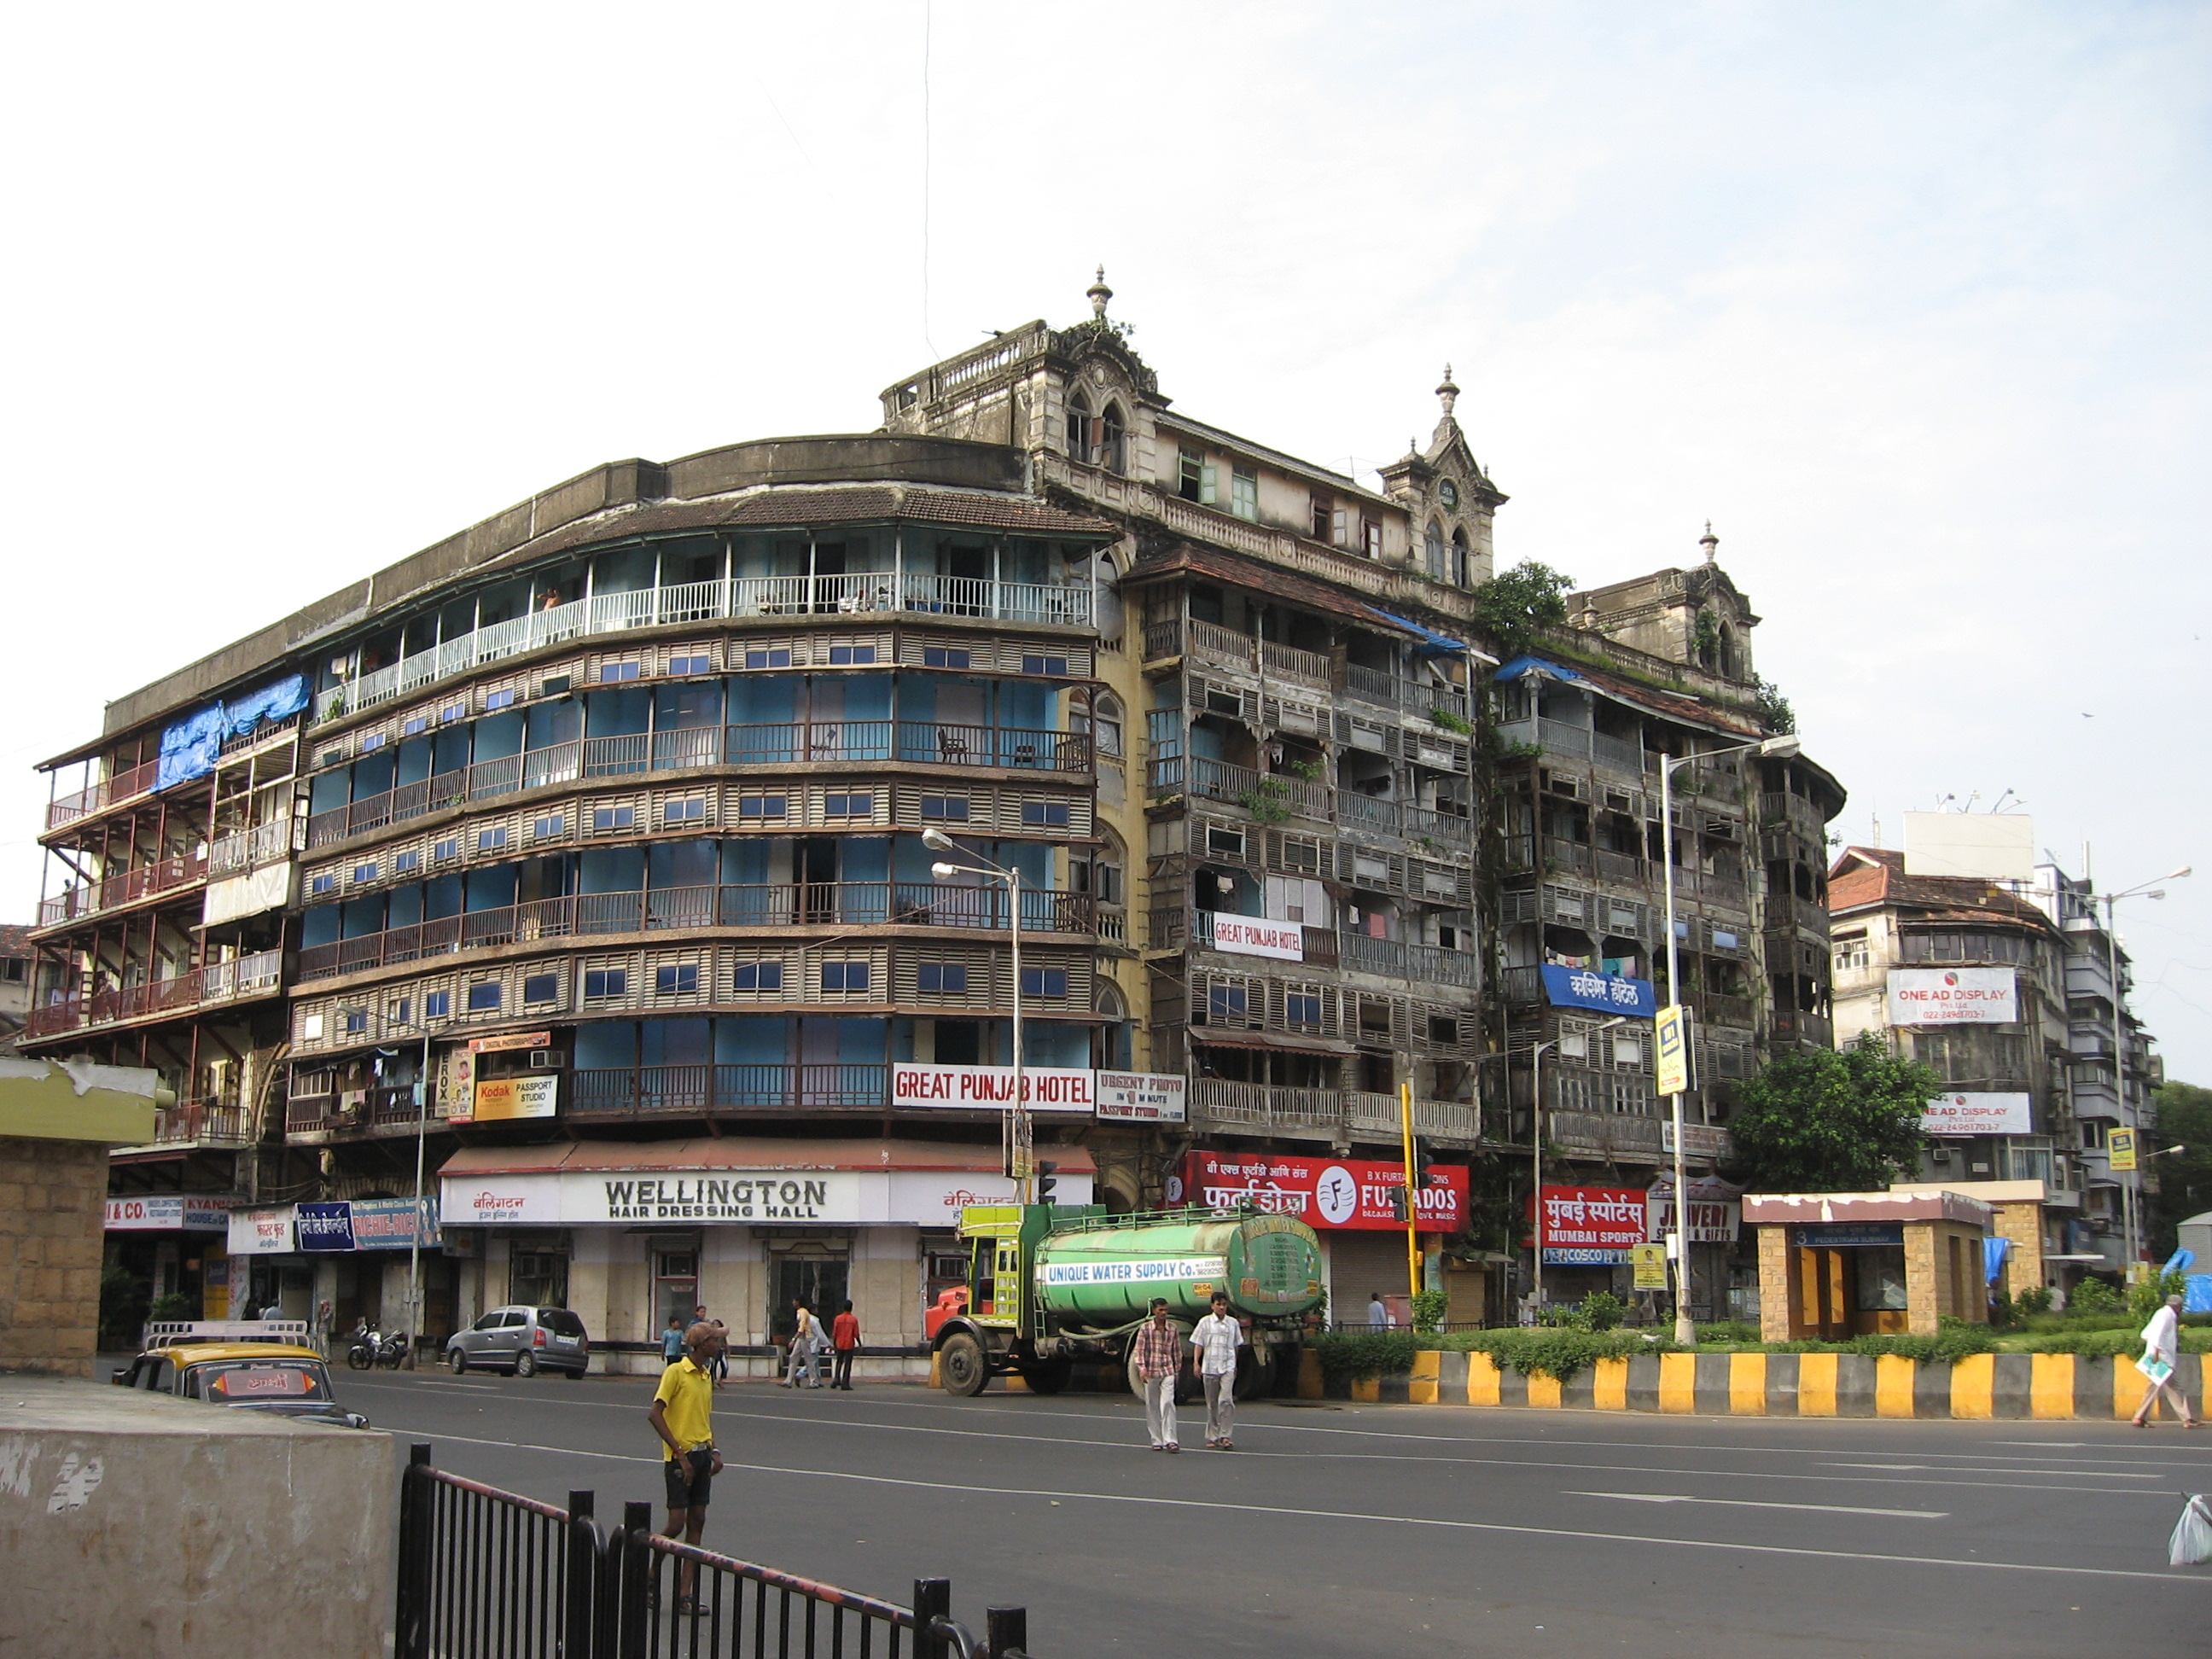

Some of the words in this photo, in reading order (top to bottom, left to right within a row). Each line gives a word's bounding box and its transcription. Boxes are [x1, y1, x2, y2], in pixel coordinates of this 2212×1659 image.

[1211, 917, 1249, 946] GREAT
[1243, 920, 1286, 952] PUNJAB H
[1274, 926, 1308, 959] HOTEL
[1568, 966, 1615, 1006] काश्मिर
[1603, 969, 1646, 1010] हॉटेल
[1895, 981, 1935, 1005] ONEA
[1926, 981, 1960, 1004] AD
[1951, 981, 2012, 1009] DISPLAY
[475, 1076, 518, 1103] Kodak
[518, 1086, 550, 1108] STUDIO
[514, 1075, 559, 1095] PASSPORT
[893, 1064, 964, 1109] GREAT
[959, 1068, 1040, 1107] PUNJAB
[1030, 1068, 1092, 1111] HOTEL
[1098, 1067, 1150, 1093] URGENT
[1143, 1068, 1186, 1097] PHOTO
[1956, 1097, 2011, 1123] DISPLAY
[1199, 1151, 1225, 1178] वी
[1213, 1155, 1244, 1182] एक्स
[1240, 1156, 1270, 1182] फुर्टाडो
[1265, 1155, 1295, 1183] आणि
[1288, 1157, 1313, 1185] संस
[466, 1183, 530, 1211] वेलिंगटन
[608, 1196, 655, 1224] HAIR
[655, 1197, 760, 1225] DRESSING
[597, 1171, 837, 1209] WELLINGTON
[760, 1202, 823, 1225] HALL
[1539, 1183, 1595, 1232] मुंबई
[1578, 1190, 1650, 1237] स्पोर्टस्
[1542, 1222, 1603, 1246] MUMBAI
[1596, 1225, 1652, 1249] SPORTS
[1044, 1260, 1094, 1286] UNIQUE
[1087, 1256, 1138, 1288] WATER
[1131, 1258, 1181, 1285] SUPPLY
[1175, 1256, 1202, 1284] Co.